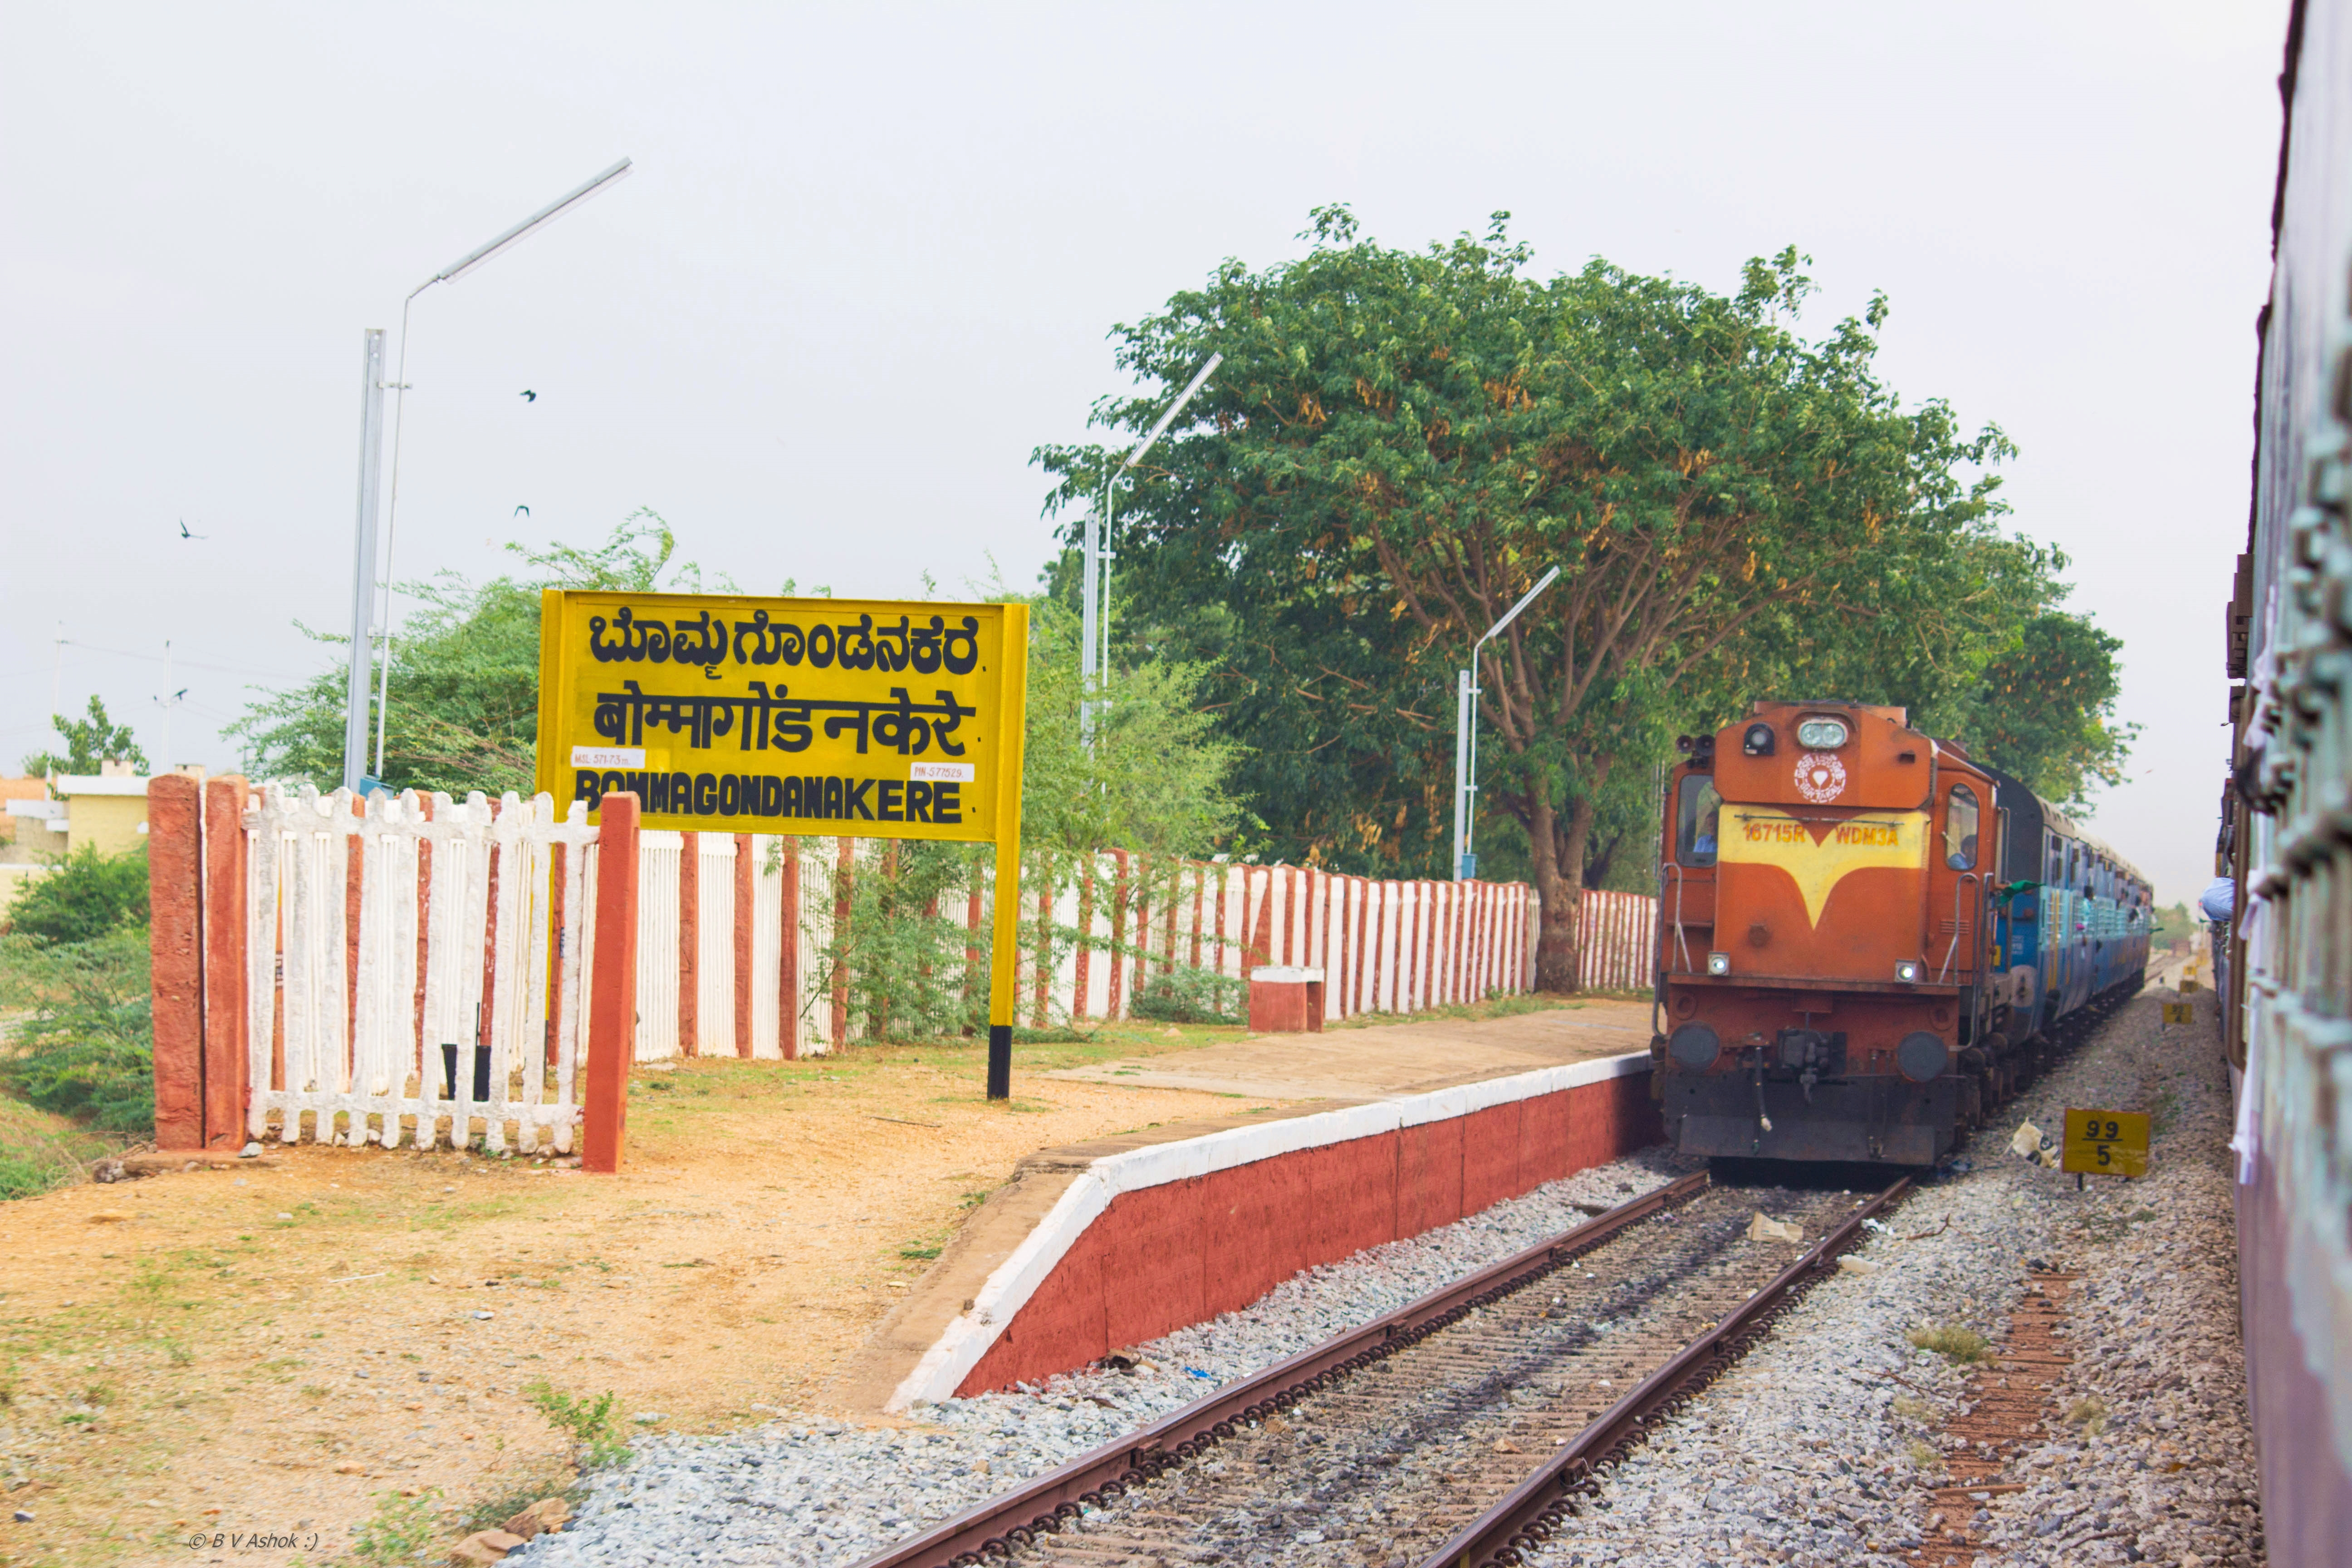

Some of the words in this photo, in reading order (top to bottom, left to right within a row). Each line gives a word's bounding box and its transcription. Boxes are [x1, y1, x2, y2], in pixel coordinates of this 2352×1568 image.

[585, 601, 984, 684] ಬೊಮ್ಟಗೊಂಡಕರೆ
[586, 675, 981, 759] बोम्मागोंडनकेरे
[571, 767, 965, 827] BOMMAGONDANAKERE
[1733, 812, 1806, 850] 16715R
[1832, 823, 1901, 850] WDM3A